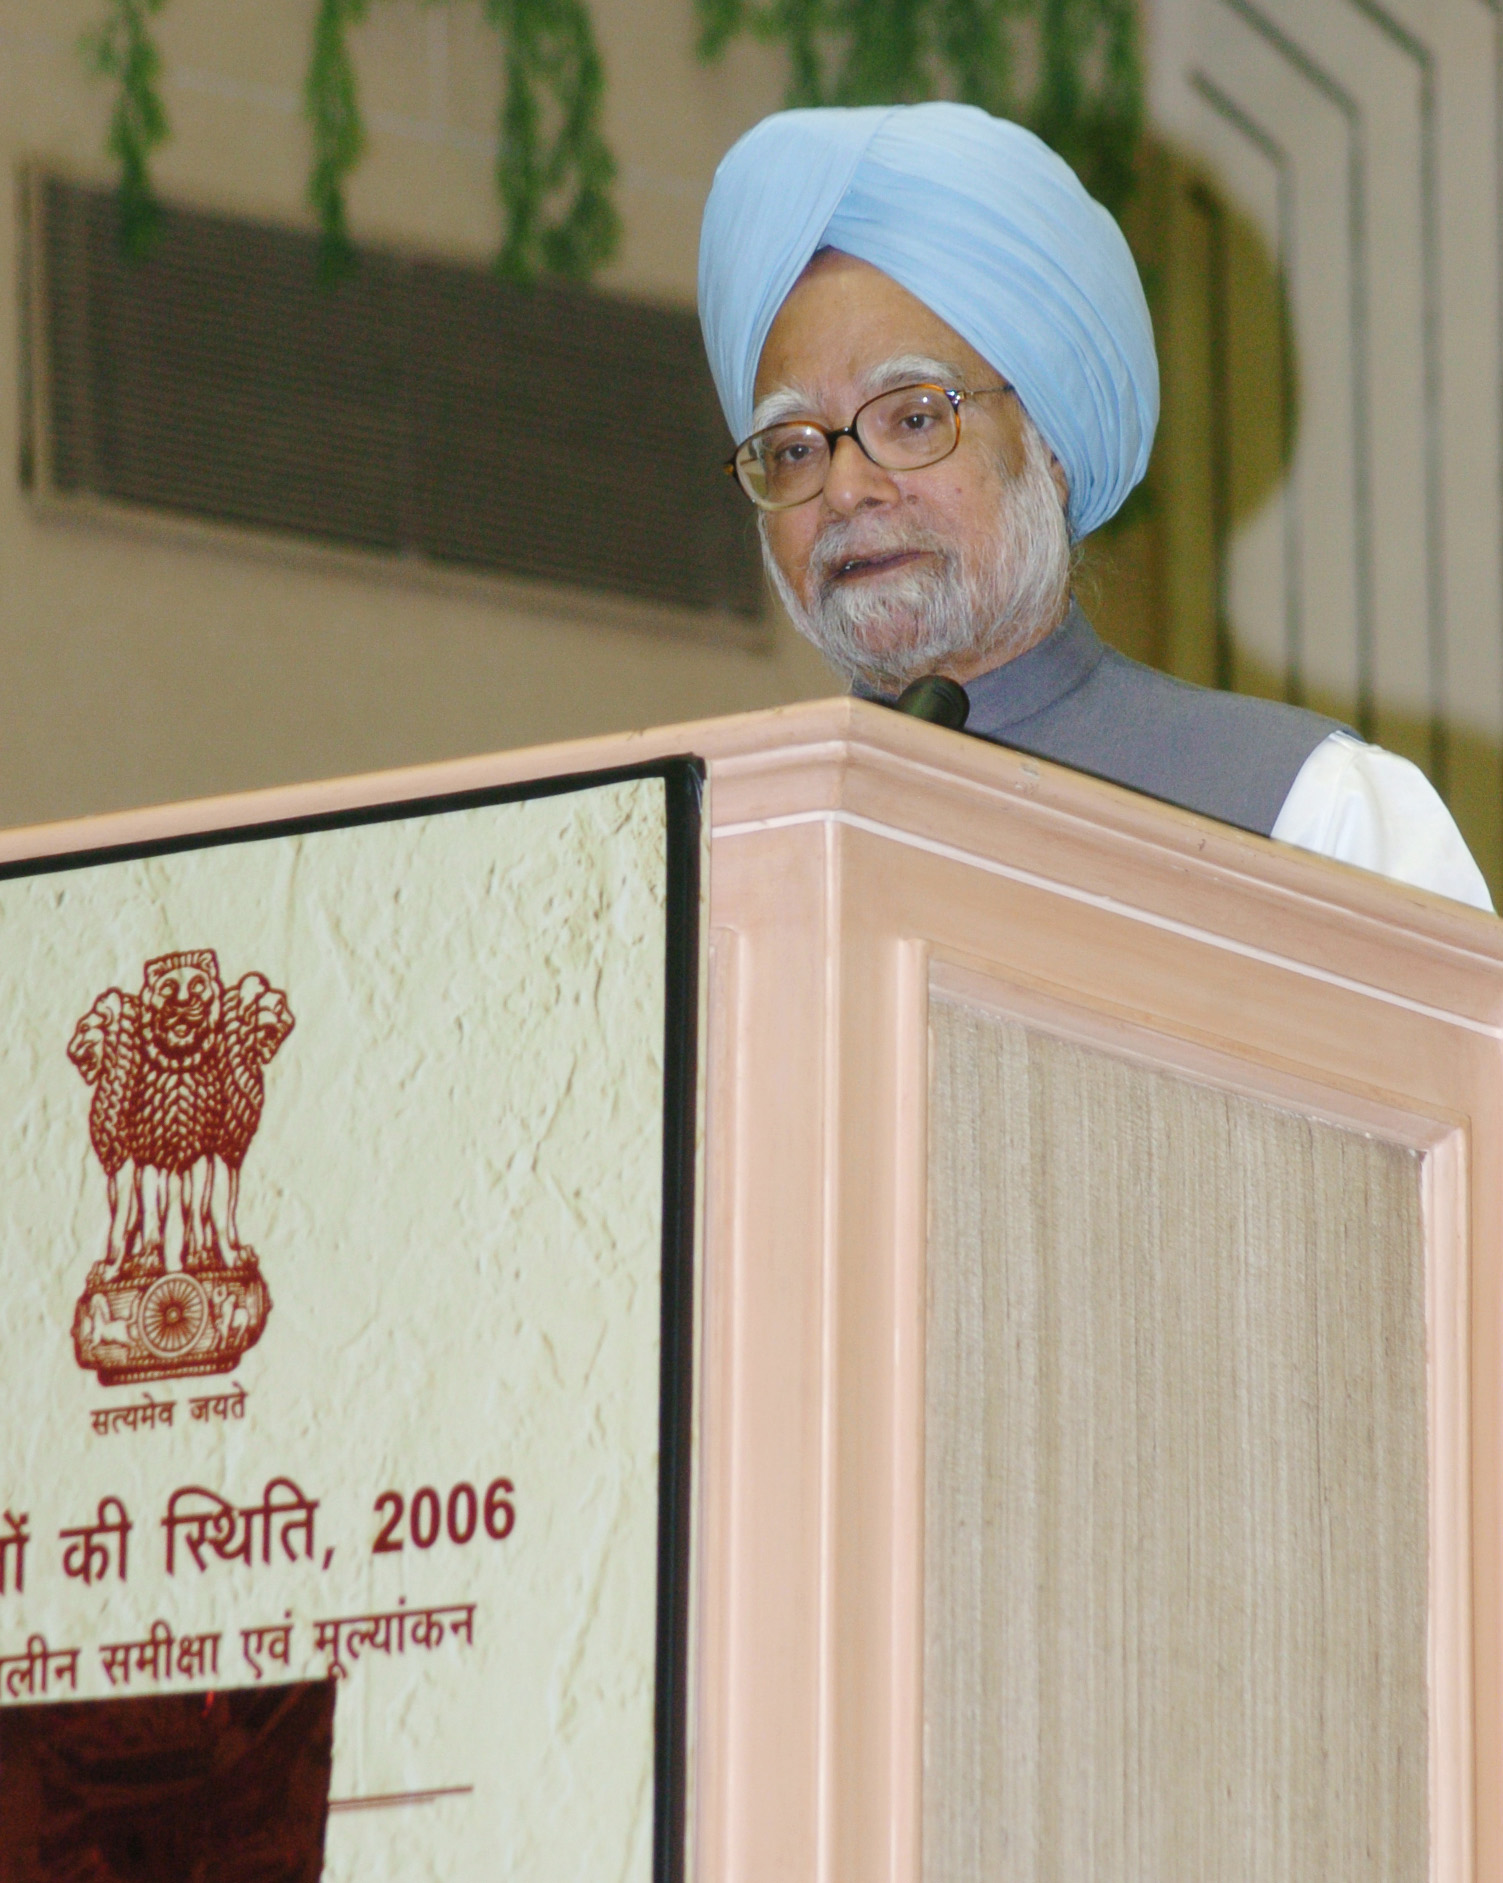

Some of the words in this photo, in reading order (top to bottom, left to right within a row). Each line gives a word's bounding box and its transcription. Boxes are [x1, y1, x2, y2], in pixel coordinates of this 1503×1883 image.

[82, 1382, 184, 1442] सत्‍यमेव
[188, 1368, 260, 1426] जयते
[45, 1485, 139, 1599] की
[147, 1467, 335, 1589] स्थिति
[361, 1471, 523, 1556] 2006
[0, 1627, 88, 1706] लीन
[90, 1615, 225, 1692] समीक्षा
[236, 1602, 302, 1684] एवं
[308, 1590, 490, 1694] मूल्यांकन